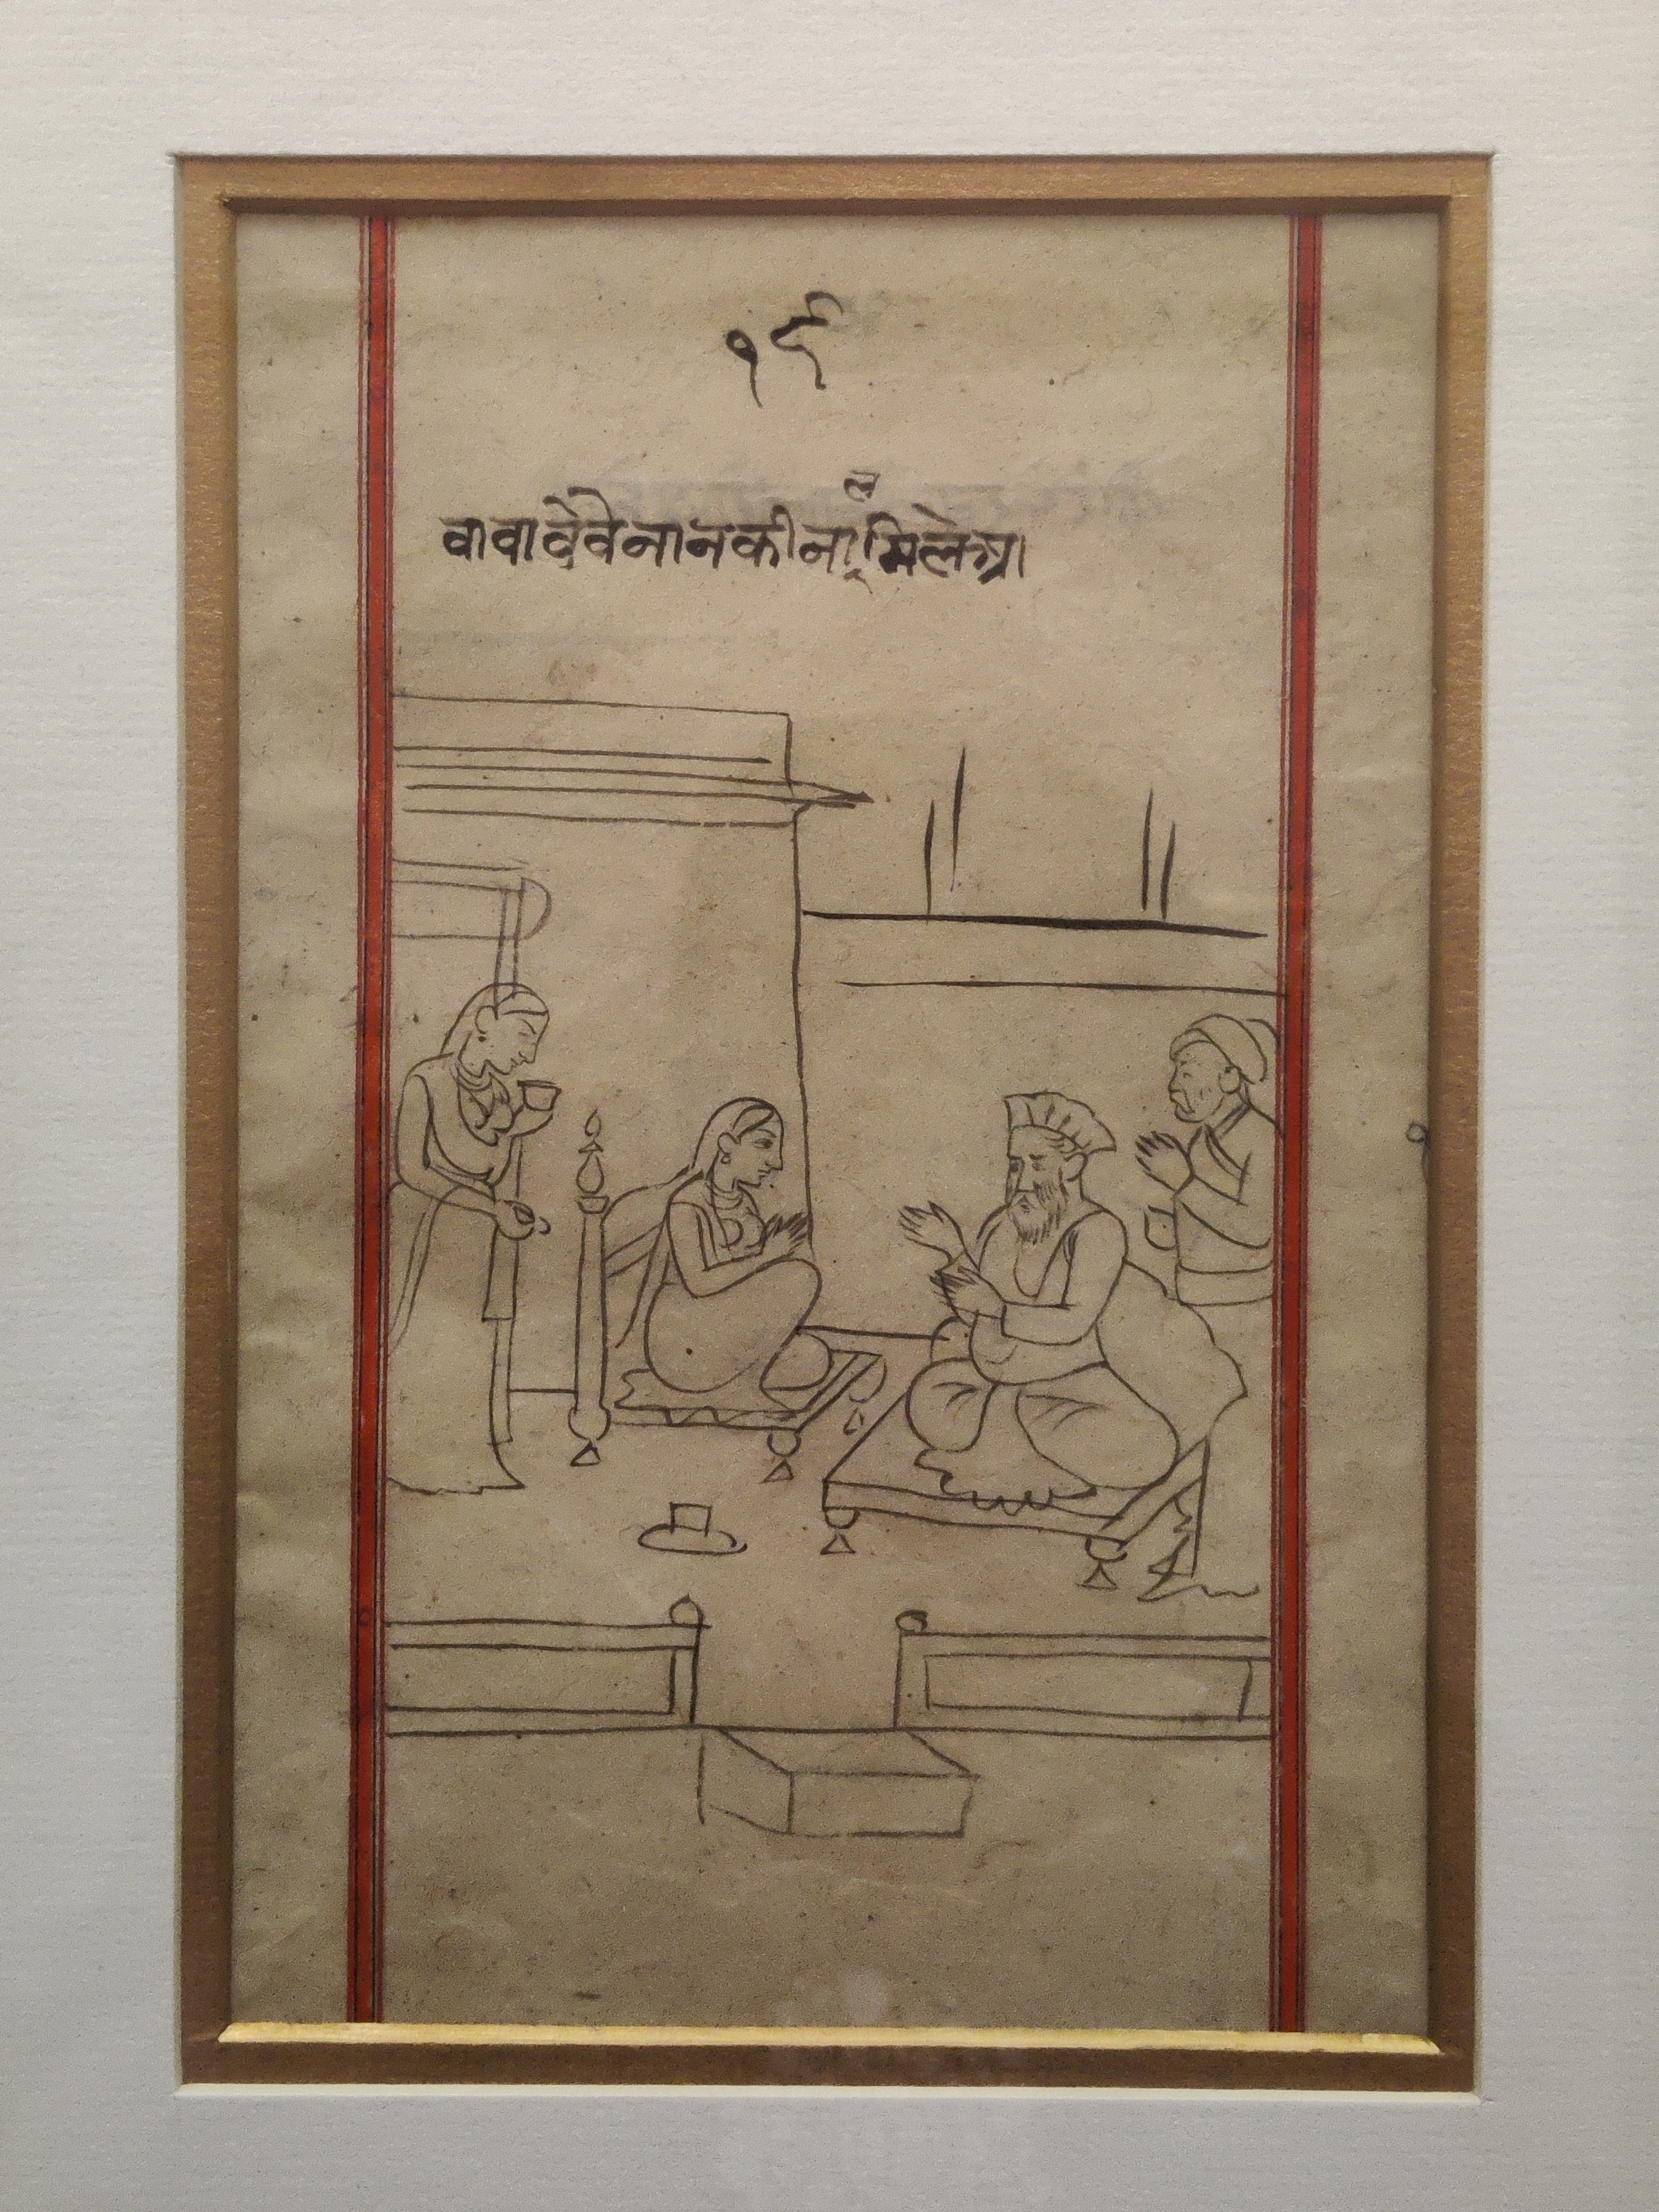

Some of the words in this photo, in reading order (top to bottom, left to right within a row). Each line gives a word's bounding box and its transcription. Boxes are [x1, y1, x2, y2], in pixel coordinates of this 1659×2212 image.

[440, 482, 795, 572] वावावेवेनानकी
[794, 522, 873, 592] ना
[861, 500, 1027, 586] मिलेग्न